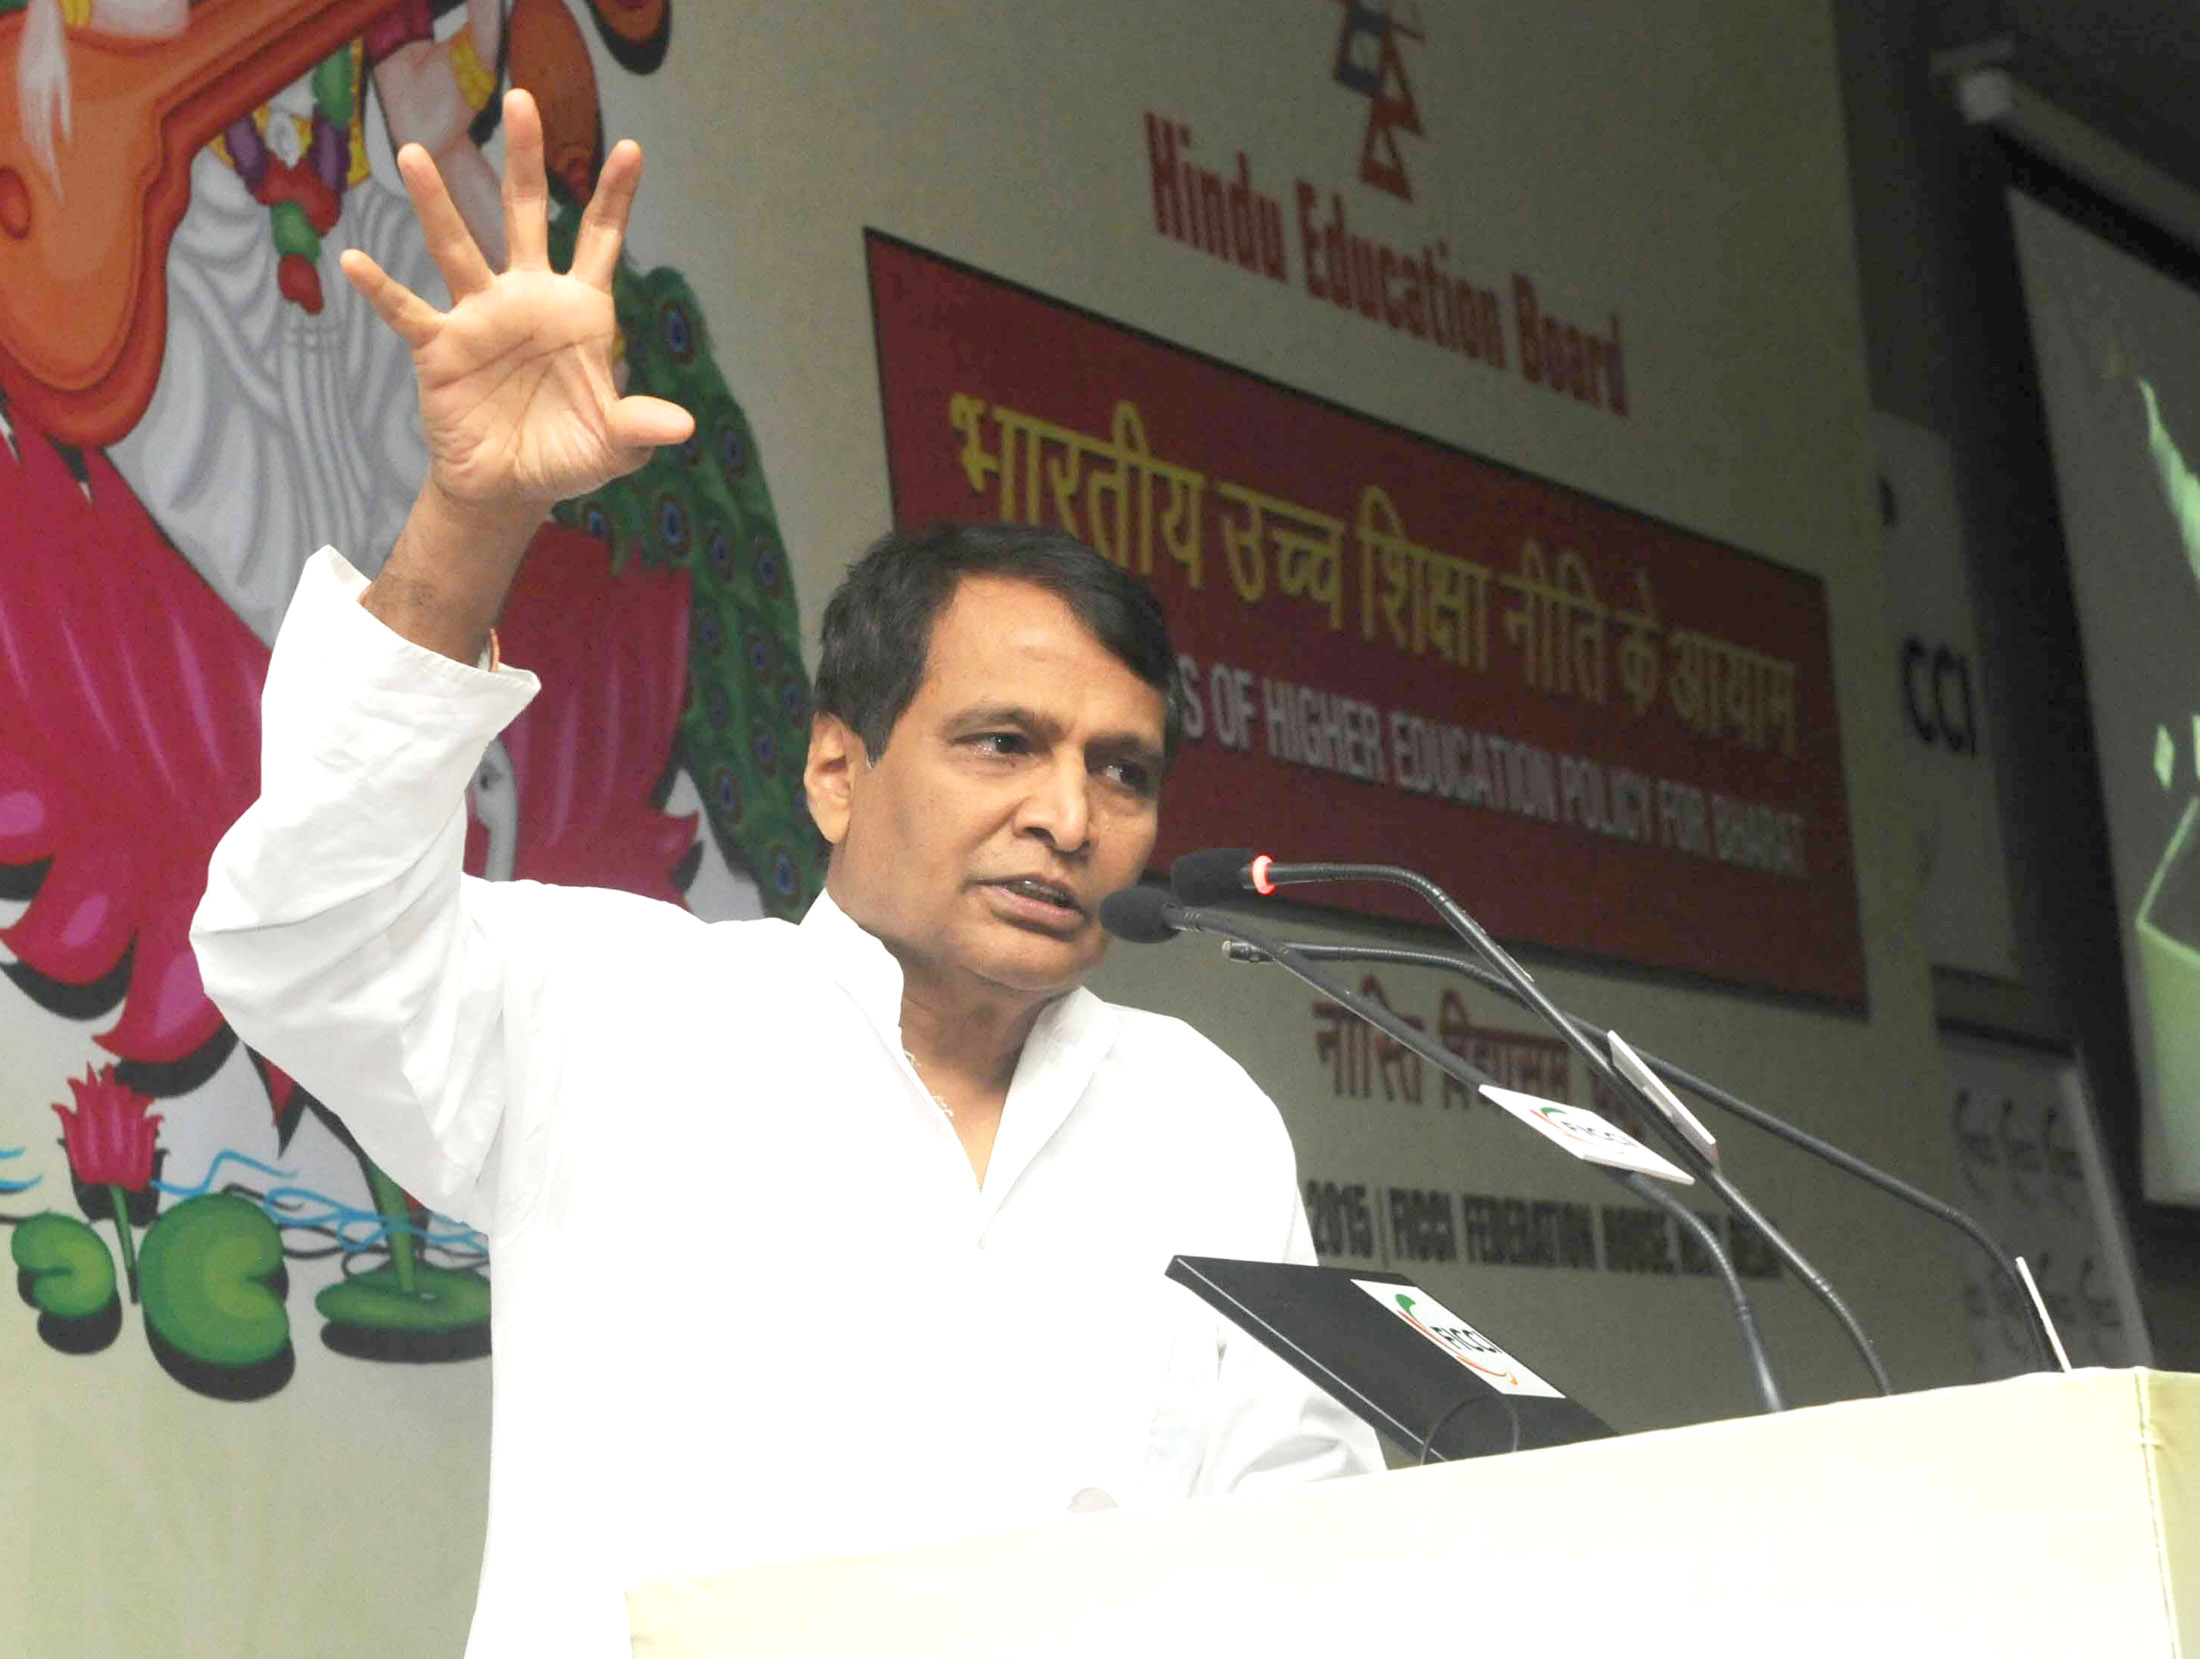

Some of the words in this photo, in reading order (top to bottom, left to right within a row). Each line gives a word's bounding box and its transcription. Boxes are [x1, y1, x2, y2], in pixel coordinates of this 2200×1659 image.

[1140, 105, 1295, 292] Hindu
[1293, 175, 1510, 378] Education
[1508, 267, 1637, 423] Board
[949, 389, 1210, 597] भारतीय
[1206, 660, 1261, 757] OF
[1215, 476, 1349, 640] उच्च
[1264, 676, 1394, 797] HIGHER
[1345, 474, 1500, 685] शिक्षा
[1389, 710, 1559, 829] EDUCATION
[1495, 532, 1612, 706] नीति
[1549, 750, 1661, 860] POLICY
[1609, 564, 1669, 720] के
[1663, 625, 1804, 771] आयाम